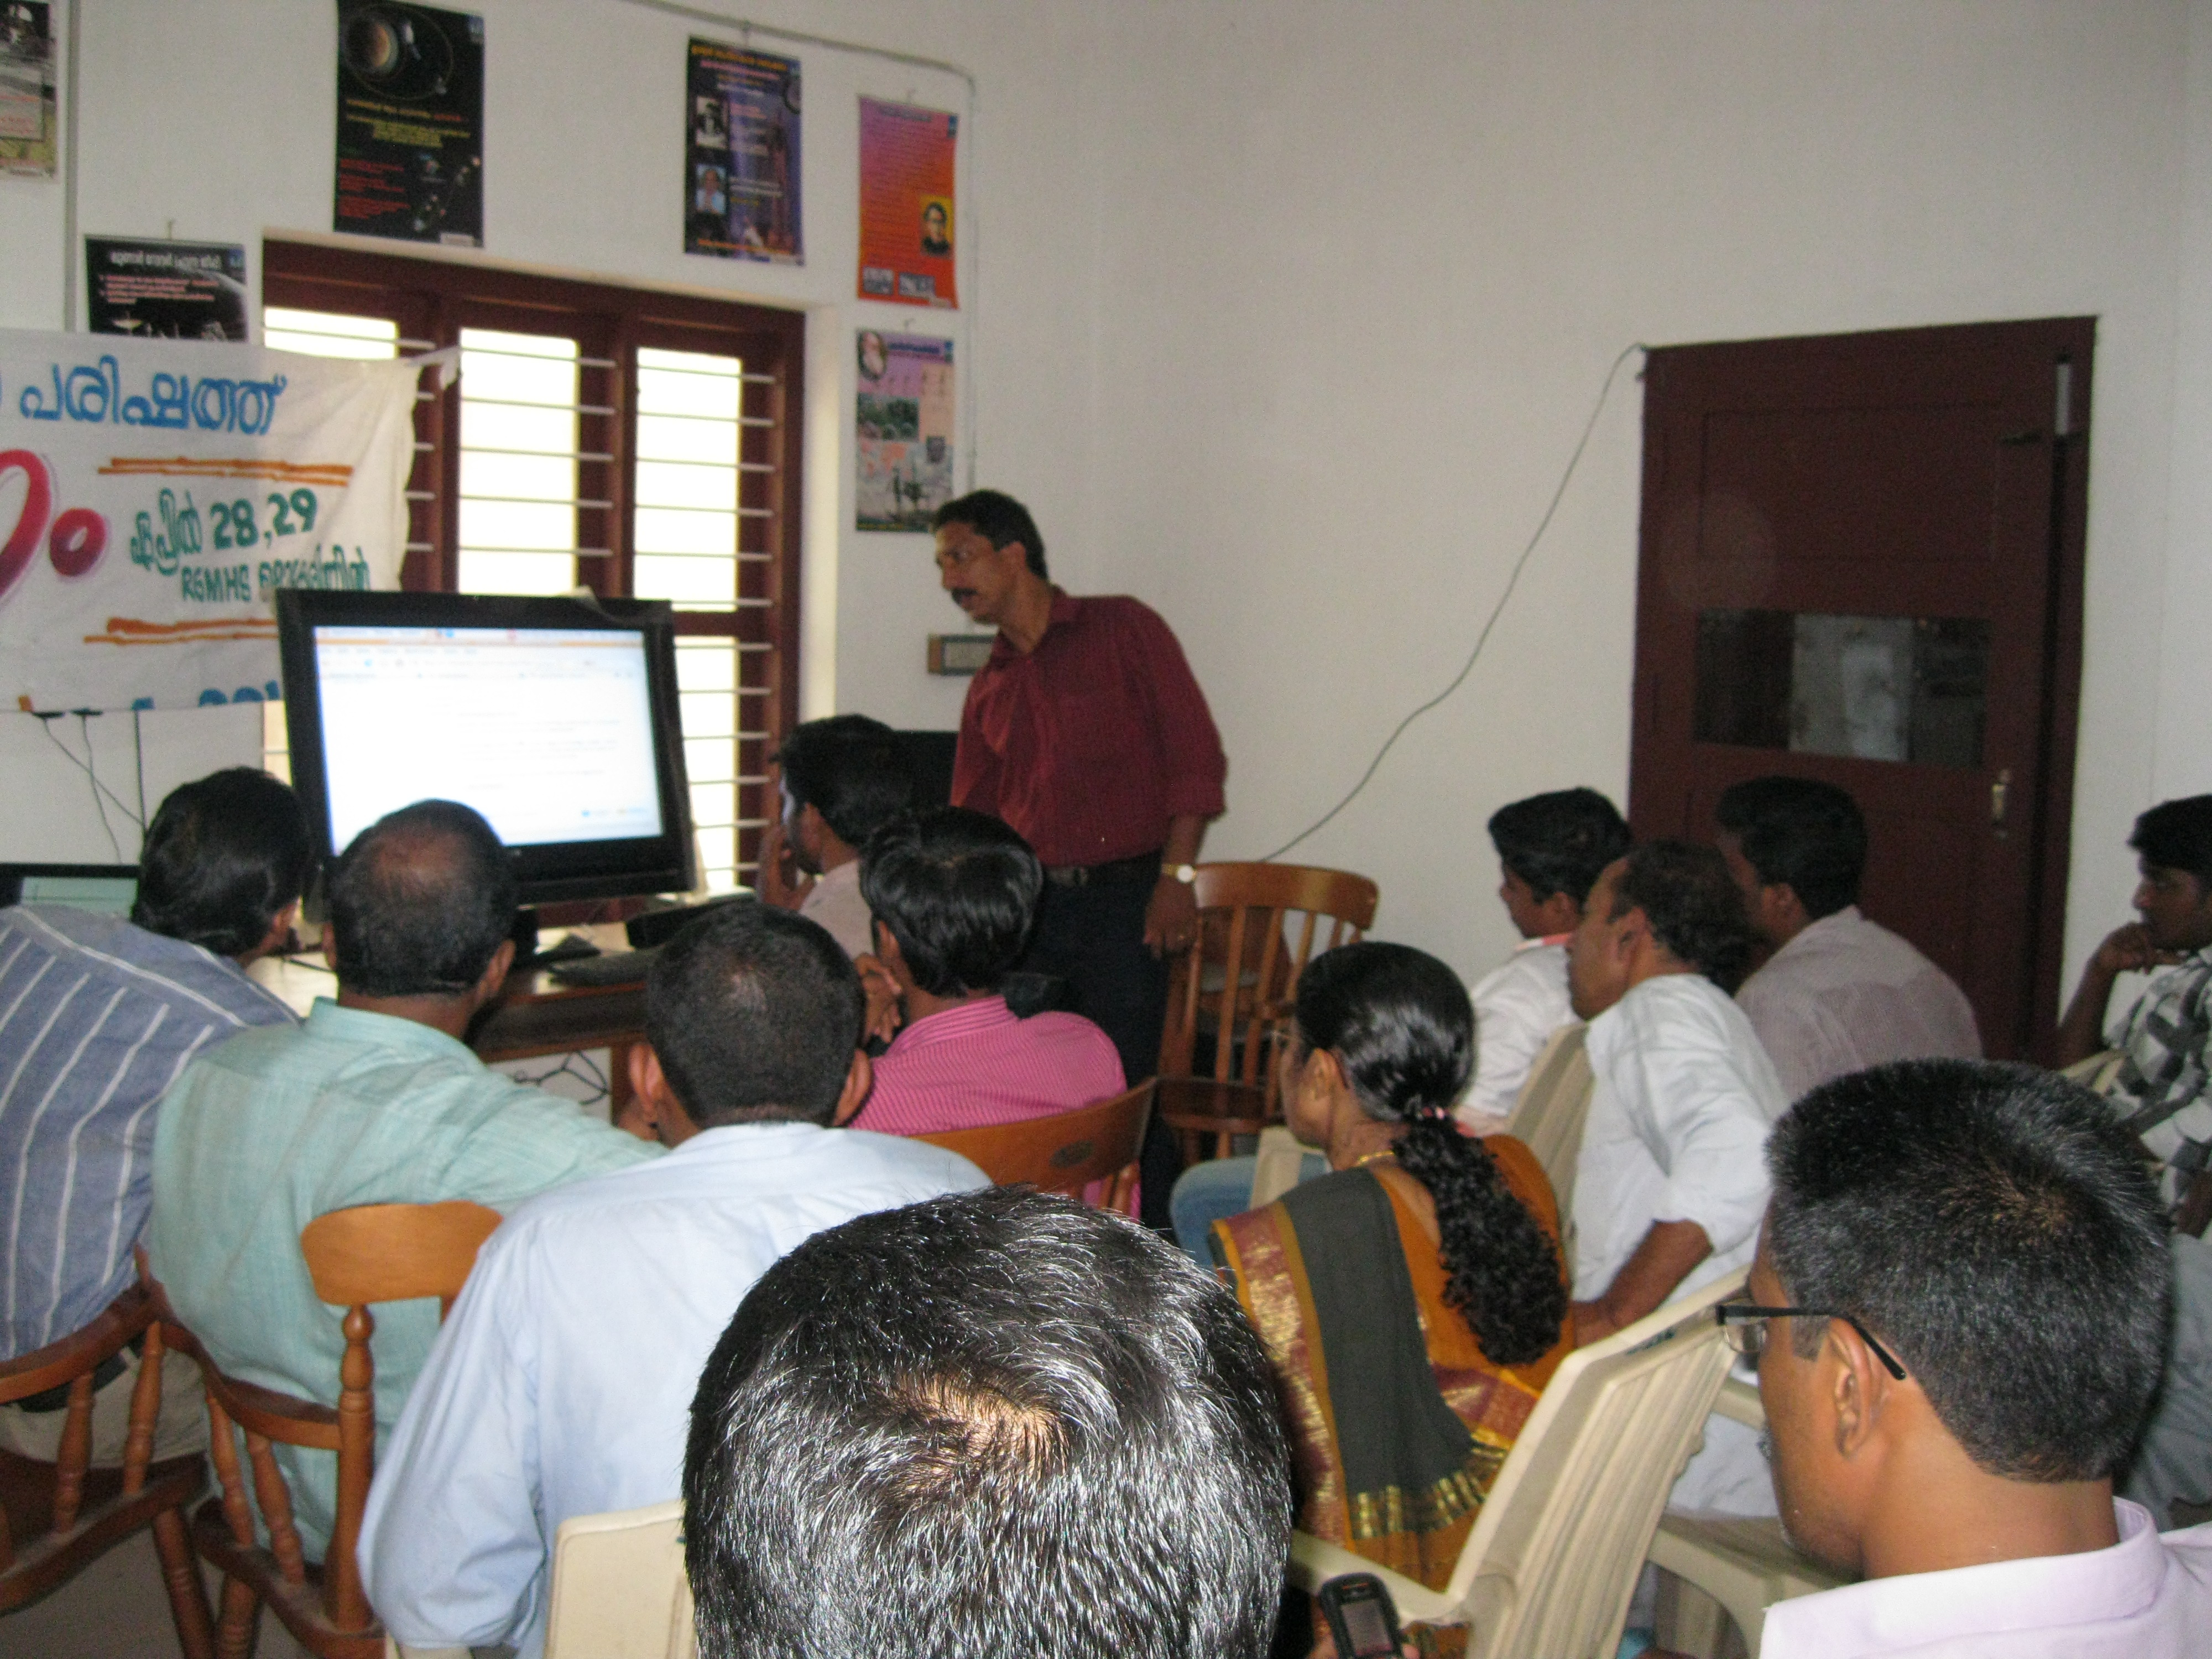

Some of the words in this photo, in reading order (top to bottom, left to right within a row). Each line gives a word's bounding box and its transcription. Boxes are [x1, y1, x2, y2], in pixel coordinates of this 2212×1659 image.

[16, 352, 290, 439] പരിഷത്ത്
[126, 484, 205, 576] ഏപീൻ
[208, 487, 319, 553] 28.29
[178, 562, 255, 606] RGMHS